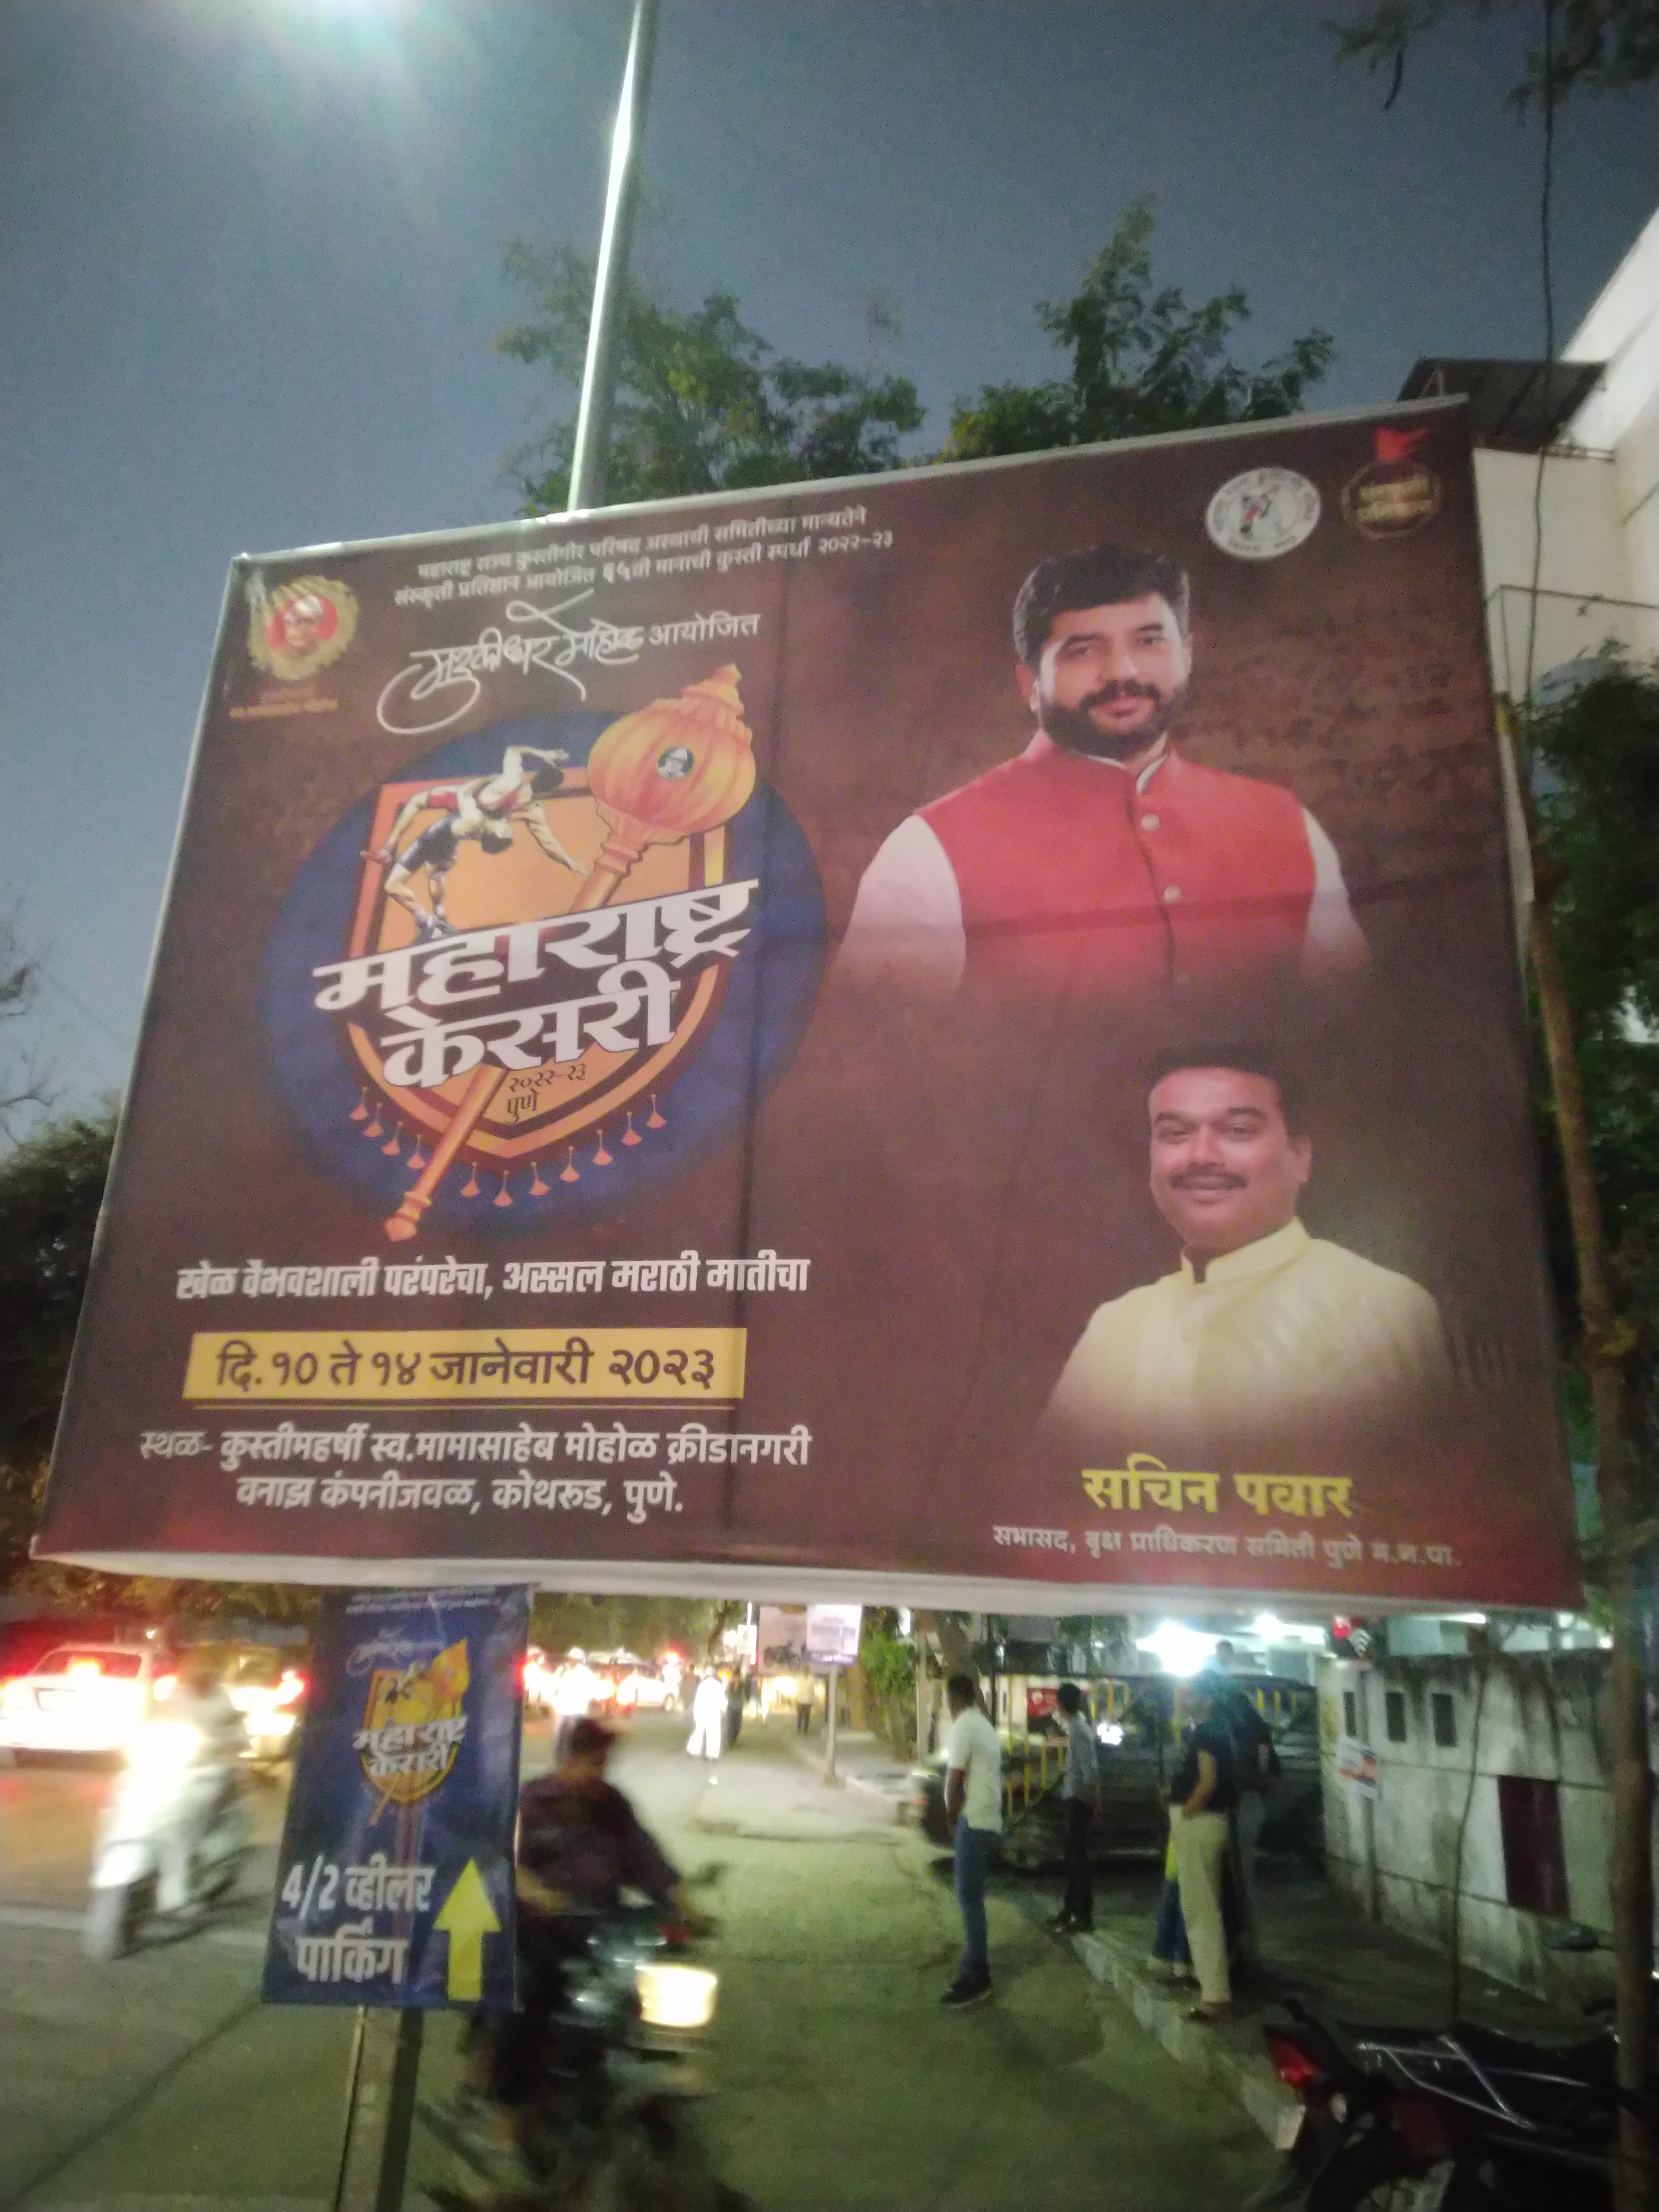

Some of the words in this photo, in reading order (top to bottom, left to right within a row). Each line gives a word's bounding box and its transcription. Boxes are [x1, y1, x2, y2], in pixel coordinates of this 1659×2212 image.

[499, 583, 647, 672] मोहाक
[646, 601, 771, 651] आयोजित
[366, 622, 596, 744] मुरलीधर
[303, 873, 775, 1016] महाराष्ट्र
[371, 958, 688, 1091] केसरी
[505, 1059, 590, 1095] २०२२-२३
[503, 1086, 546, 1125] पुणे
[169, 1251, 243, 1307] खेळ
[240, 1250, 389, 1304] वैभवशाली
[378, 1248, 499, 1307] परंपरेचा,
[500, 1255, 610, 1298] अस्सल
[607, 1245, 707, 1298] मराठी
[701, 1244, 820, 1301] मातीचा
[212, 1335, 266, 1395] दि.
[264, 1343, 325, 1390] १0
[324, 1337, 367, 1389] ते
[366, 1342, 427, 1390] १४
[421, 1330, 602, 1395] जानेवारी
[602, 1340, 724, 1392] २0२३
[124, 1412, 217, 1465] स्थळ-
[215, 1412, 377, 1477] कुस्तीमहर्षी
[367, 1425, 418, 1467] स्व.
[415, 1415, 564, 1469] मामासाहेब
[561, 1411, 666, 1469] मोहोळ
[662, 1415, 821, 1477] क्रीडानगरी
[226, 1473, 320, 1513] वनाझ
[317, 1465, 485, 1524] कंपनीजवळ,
[484, 1465, 618, 1525] कोथरूड,
[615, 1464, 690, 1531] पुणे.
[1069, 1447, 1228, 1522] सचिन
[1225, 1469, 1368, 1522] पवार
[987, 1522, 1082, 1561] सभासद,
[1078, 1524, 1126, 1559] वृक्ष
[1125, 1522, 1245, 1561] प्राधिकरण
[1243, 1523, 1321, 1563] समिती
[1316, 1527, 1369, 1574] पुणे
[280, 1844, 345, 1922] 4/2
[342, 1840, 446, 1919] व्हीलर
[288, 1916, 416, 1999] पार्किंग